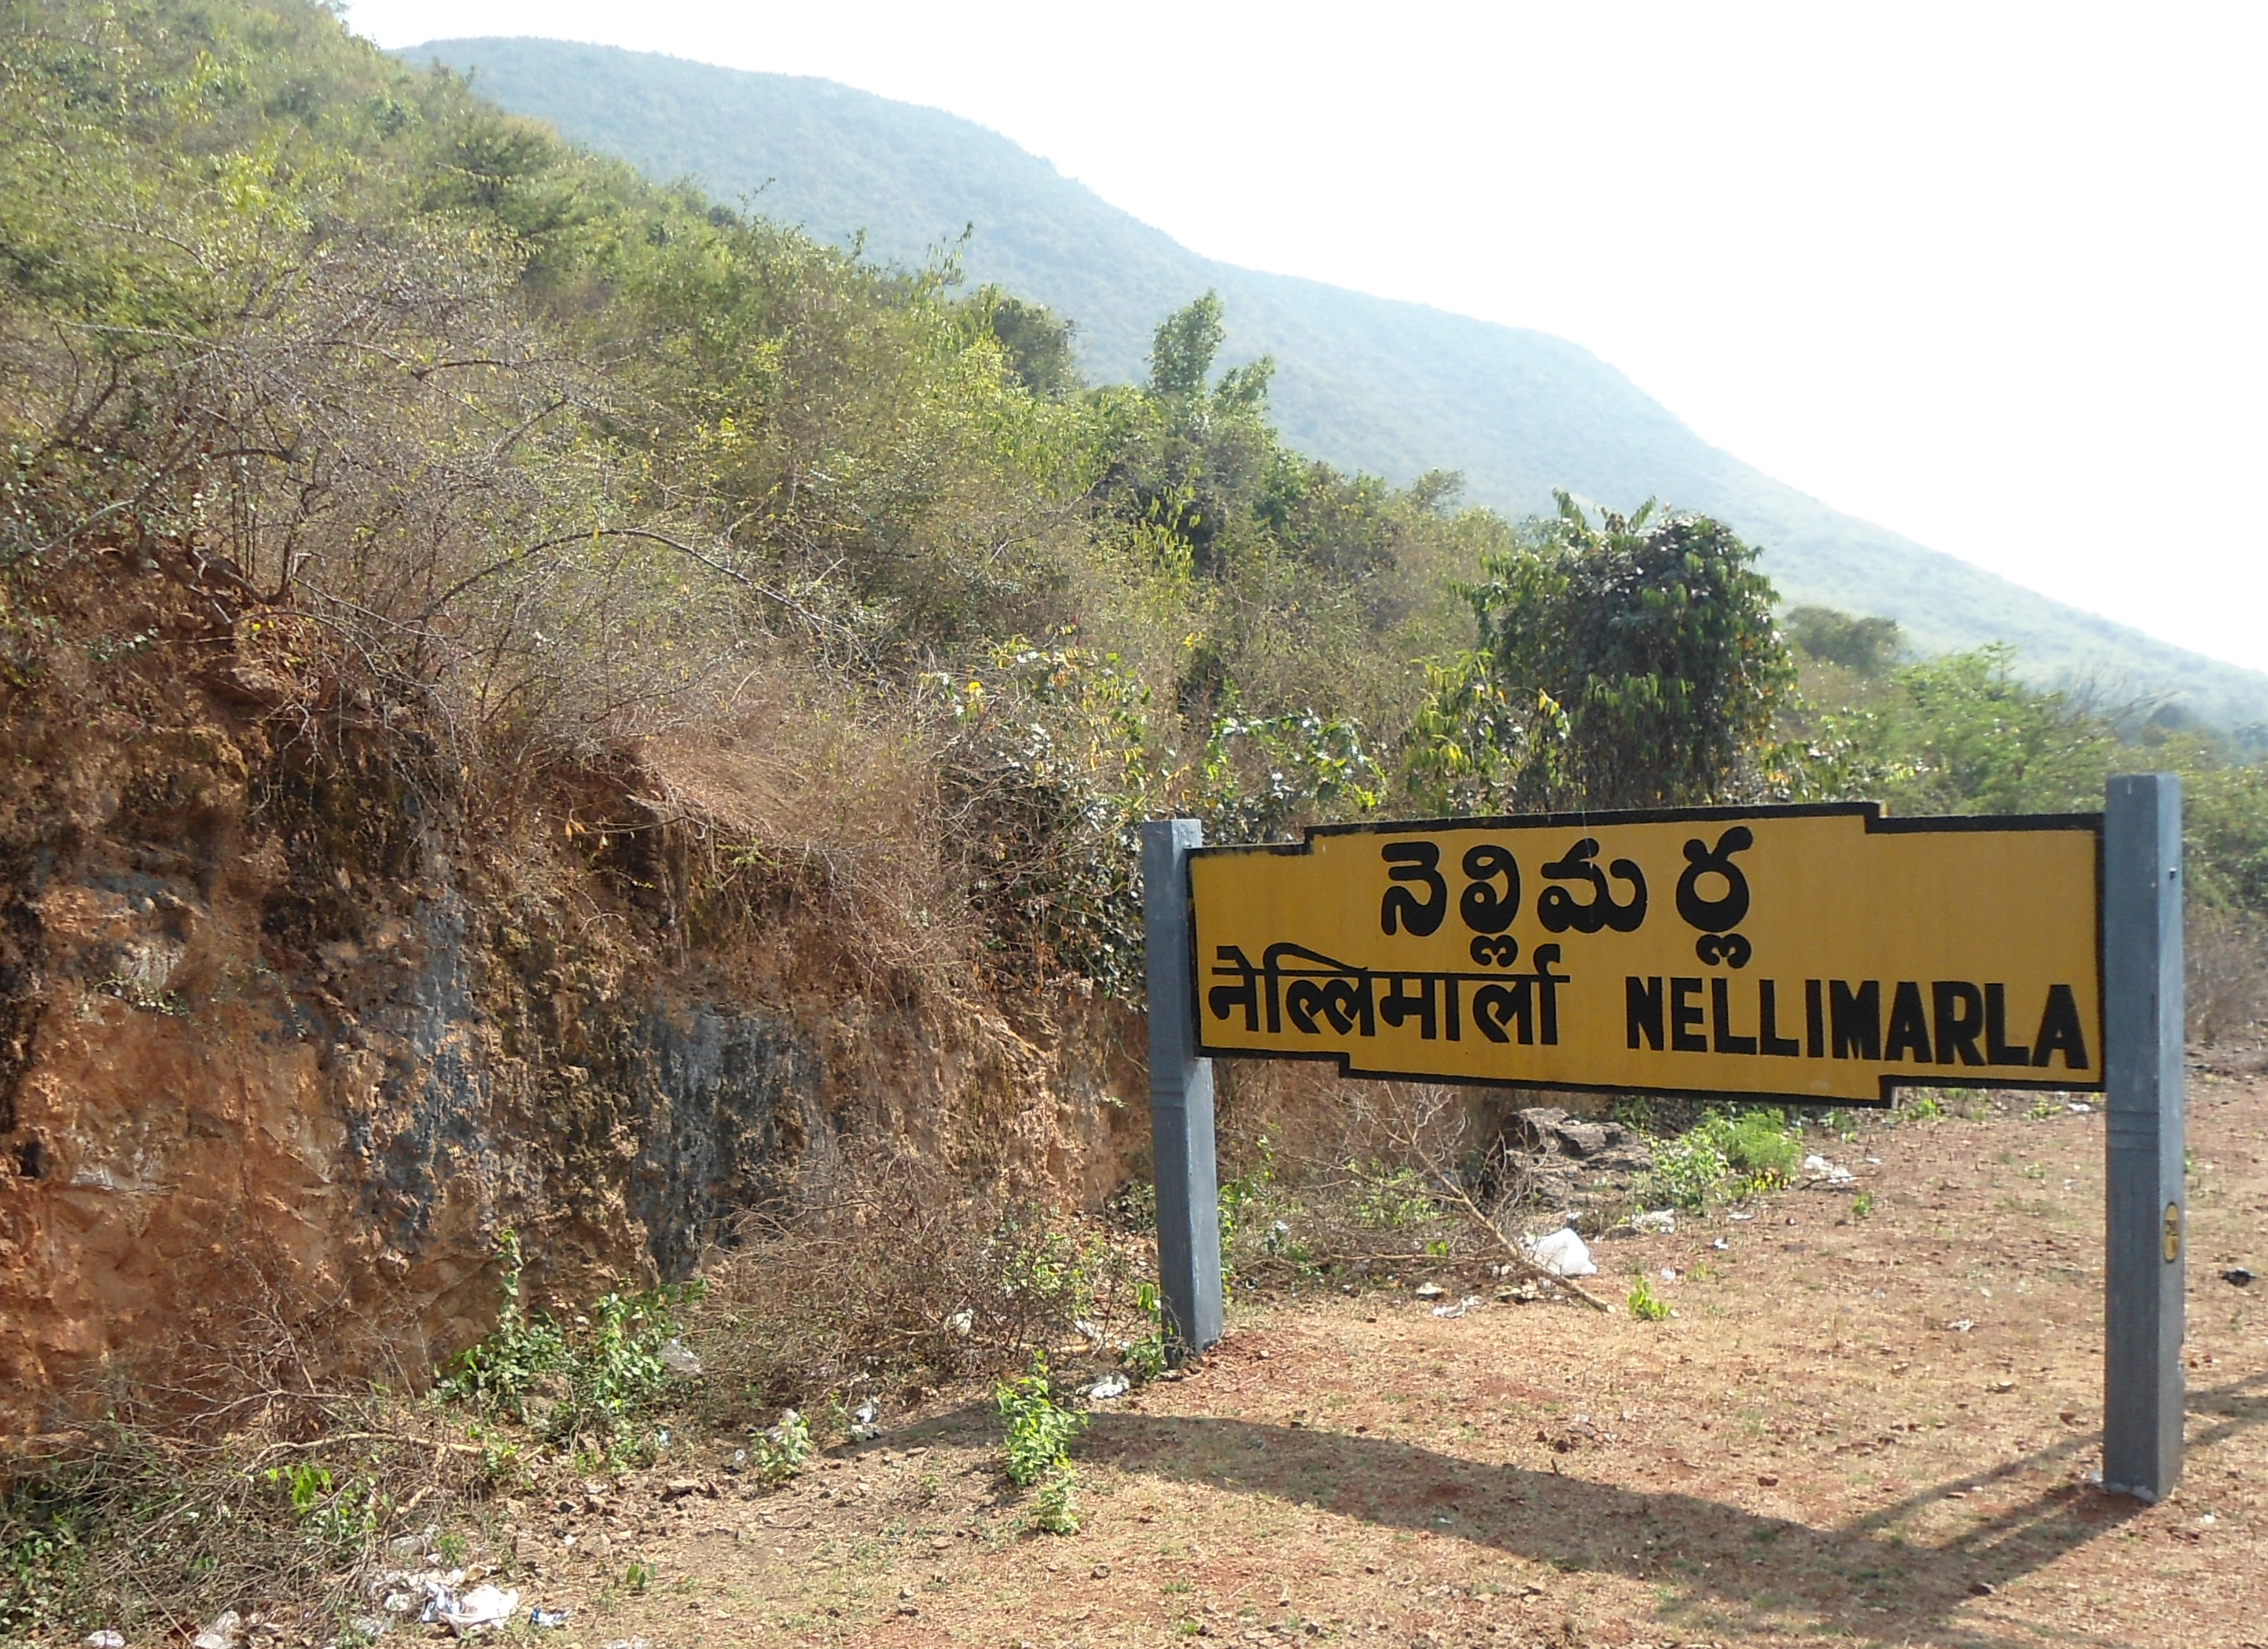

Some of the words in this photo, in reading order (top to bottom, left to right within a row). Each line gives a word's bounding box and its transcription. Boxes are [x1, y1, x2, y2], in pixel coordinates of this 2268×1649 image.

[1371, 823, 1767, 983] నెల్లిమర్ల
[1189, 933, 1577, 1069] नेल्लिमार्ला
[1621, 964, 2102, 1091] NELLIMARLA